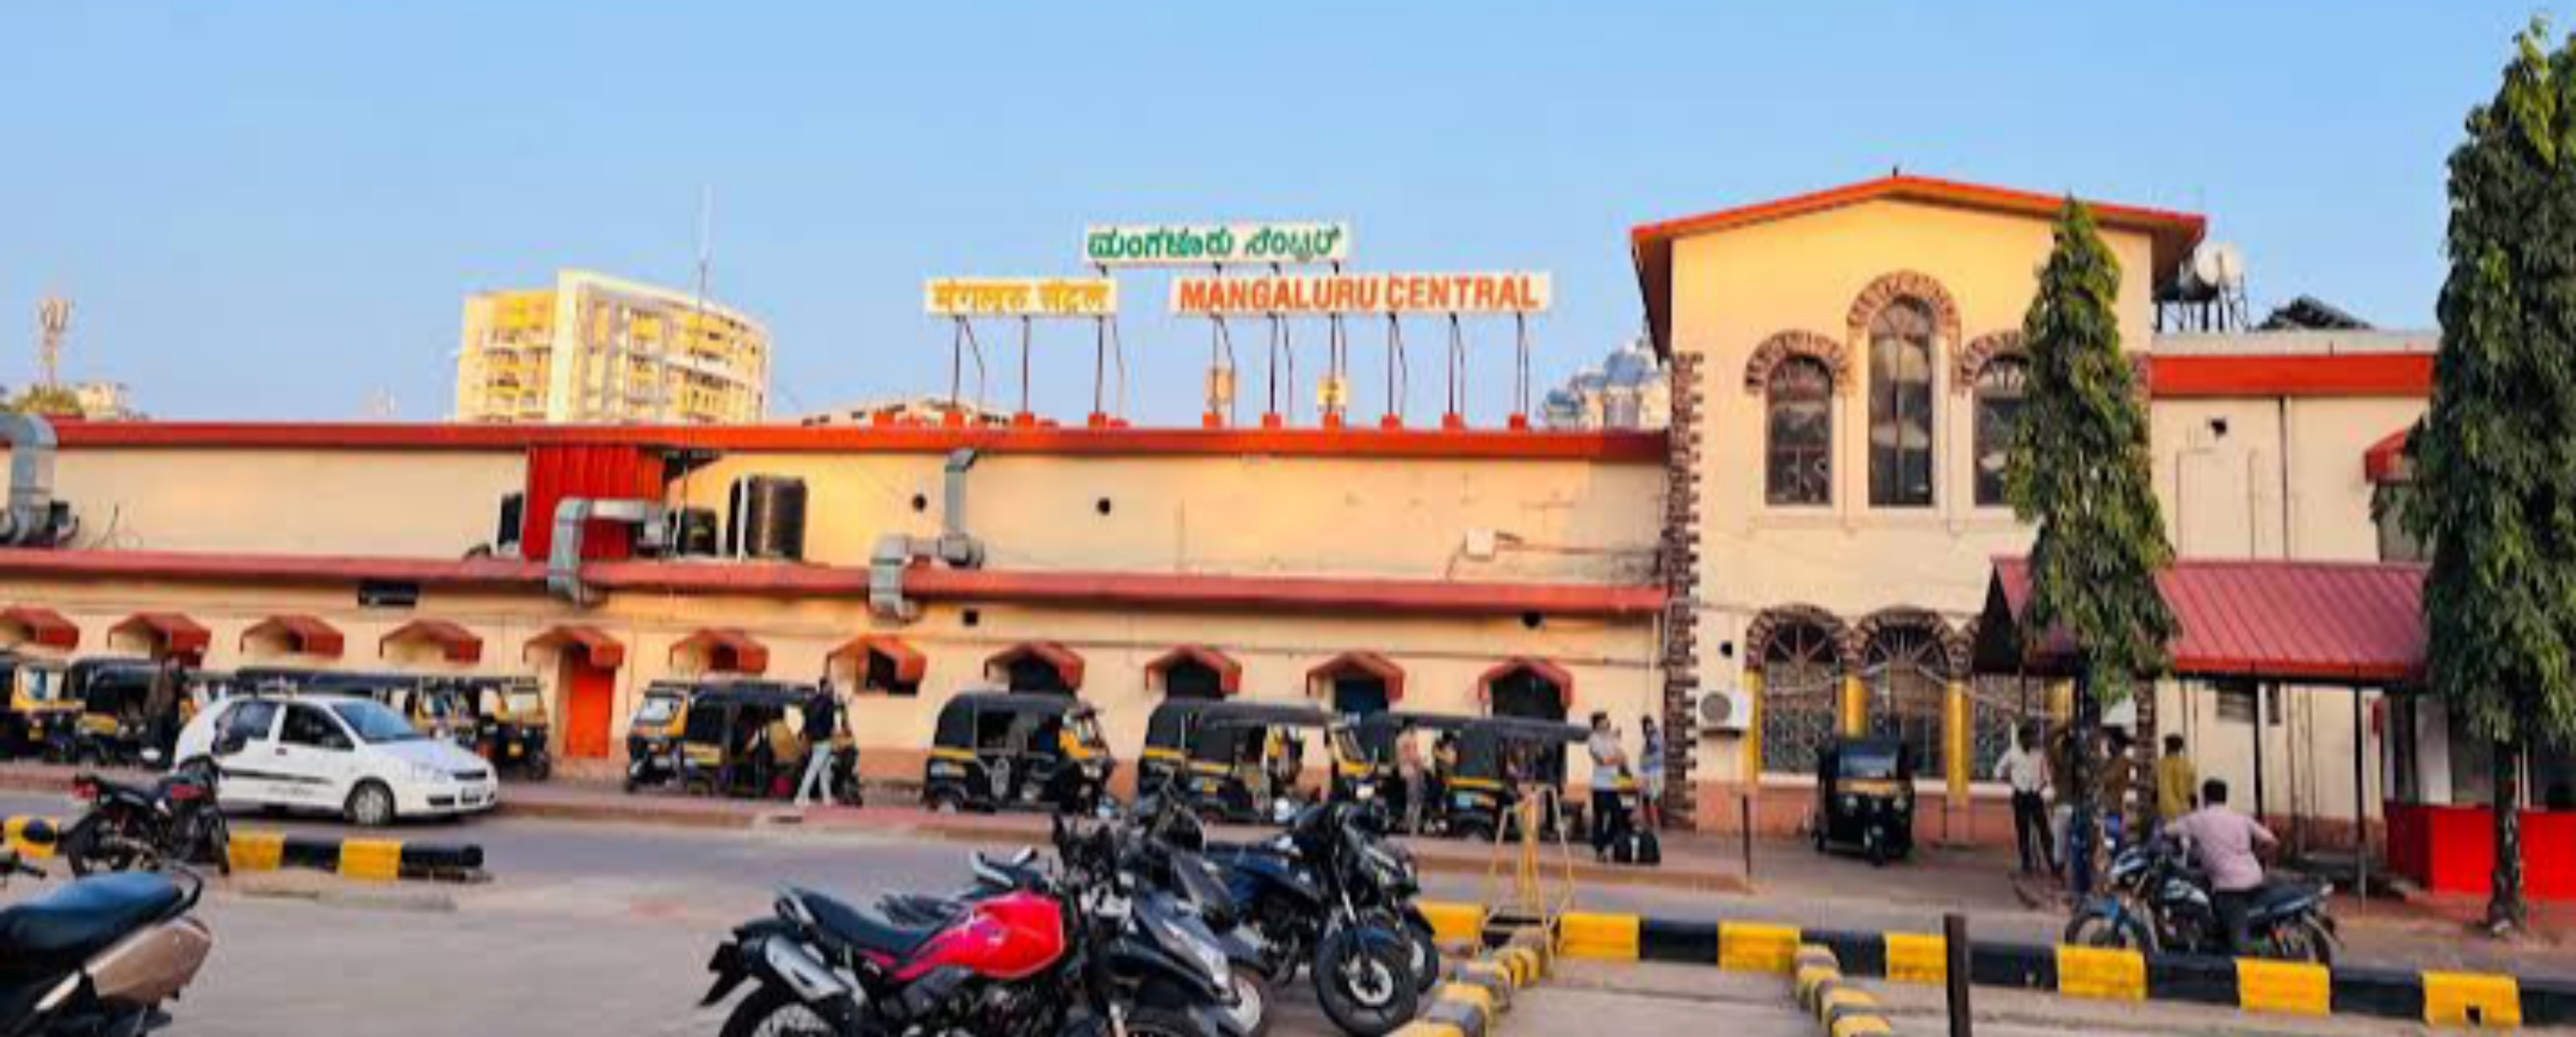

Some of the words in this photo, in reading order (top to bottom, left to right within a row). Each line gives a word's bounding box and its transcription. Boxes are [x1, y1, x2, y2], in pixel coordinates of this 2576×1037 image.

[1085, 219, 1237, 260] ಮಂಗಳೂರು
[923, 271, 1032, 318] मंगलरु
[1034, 275, 1110, 316] सेंट्रल
[1176, 273, 1383, 316] MANGALURU
[1382, 265, 1541, 313] CENTRAL